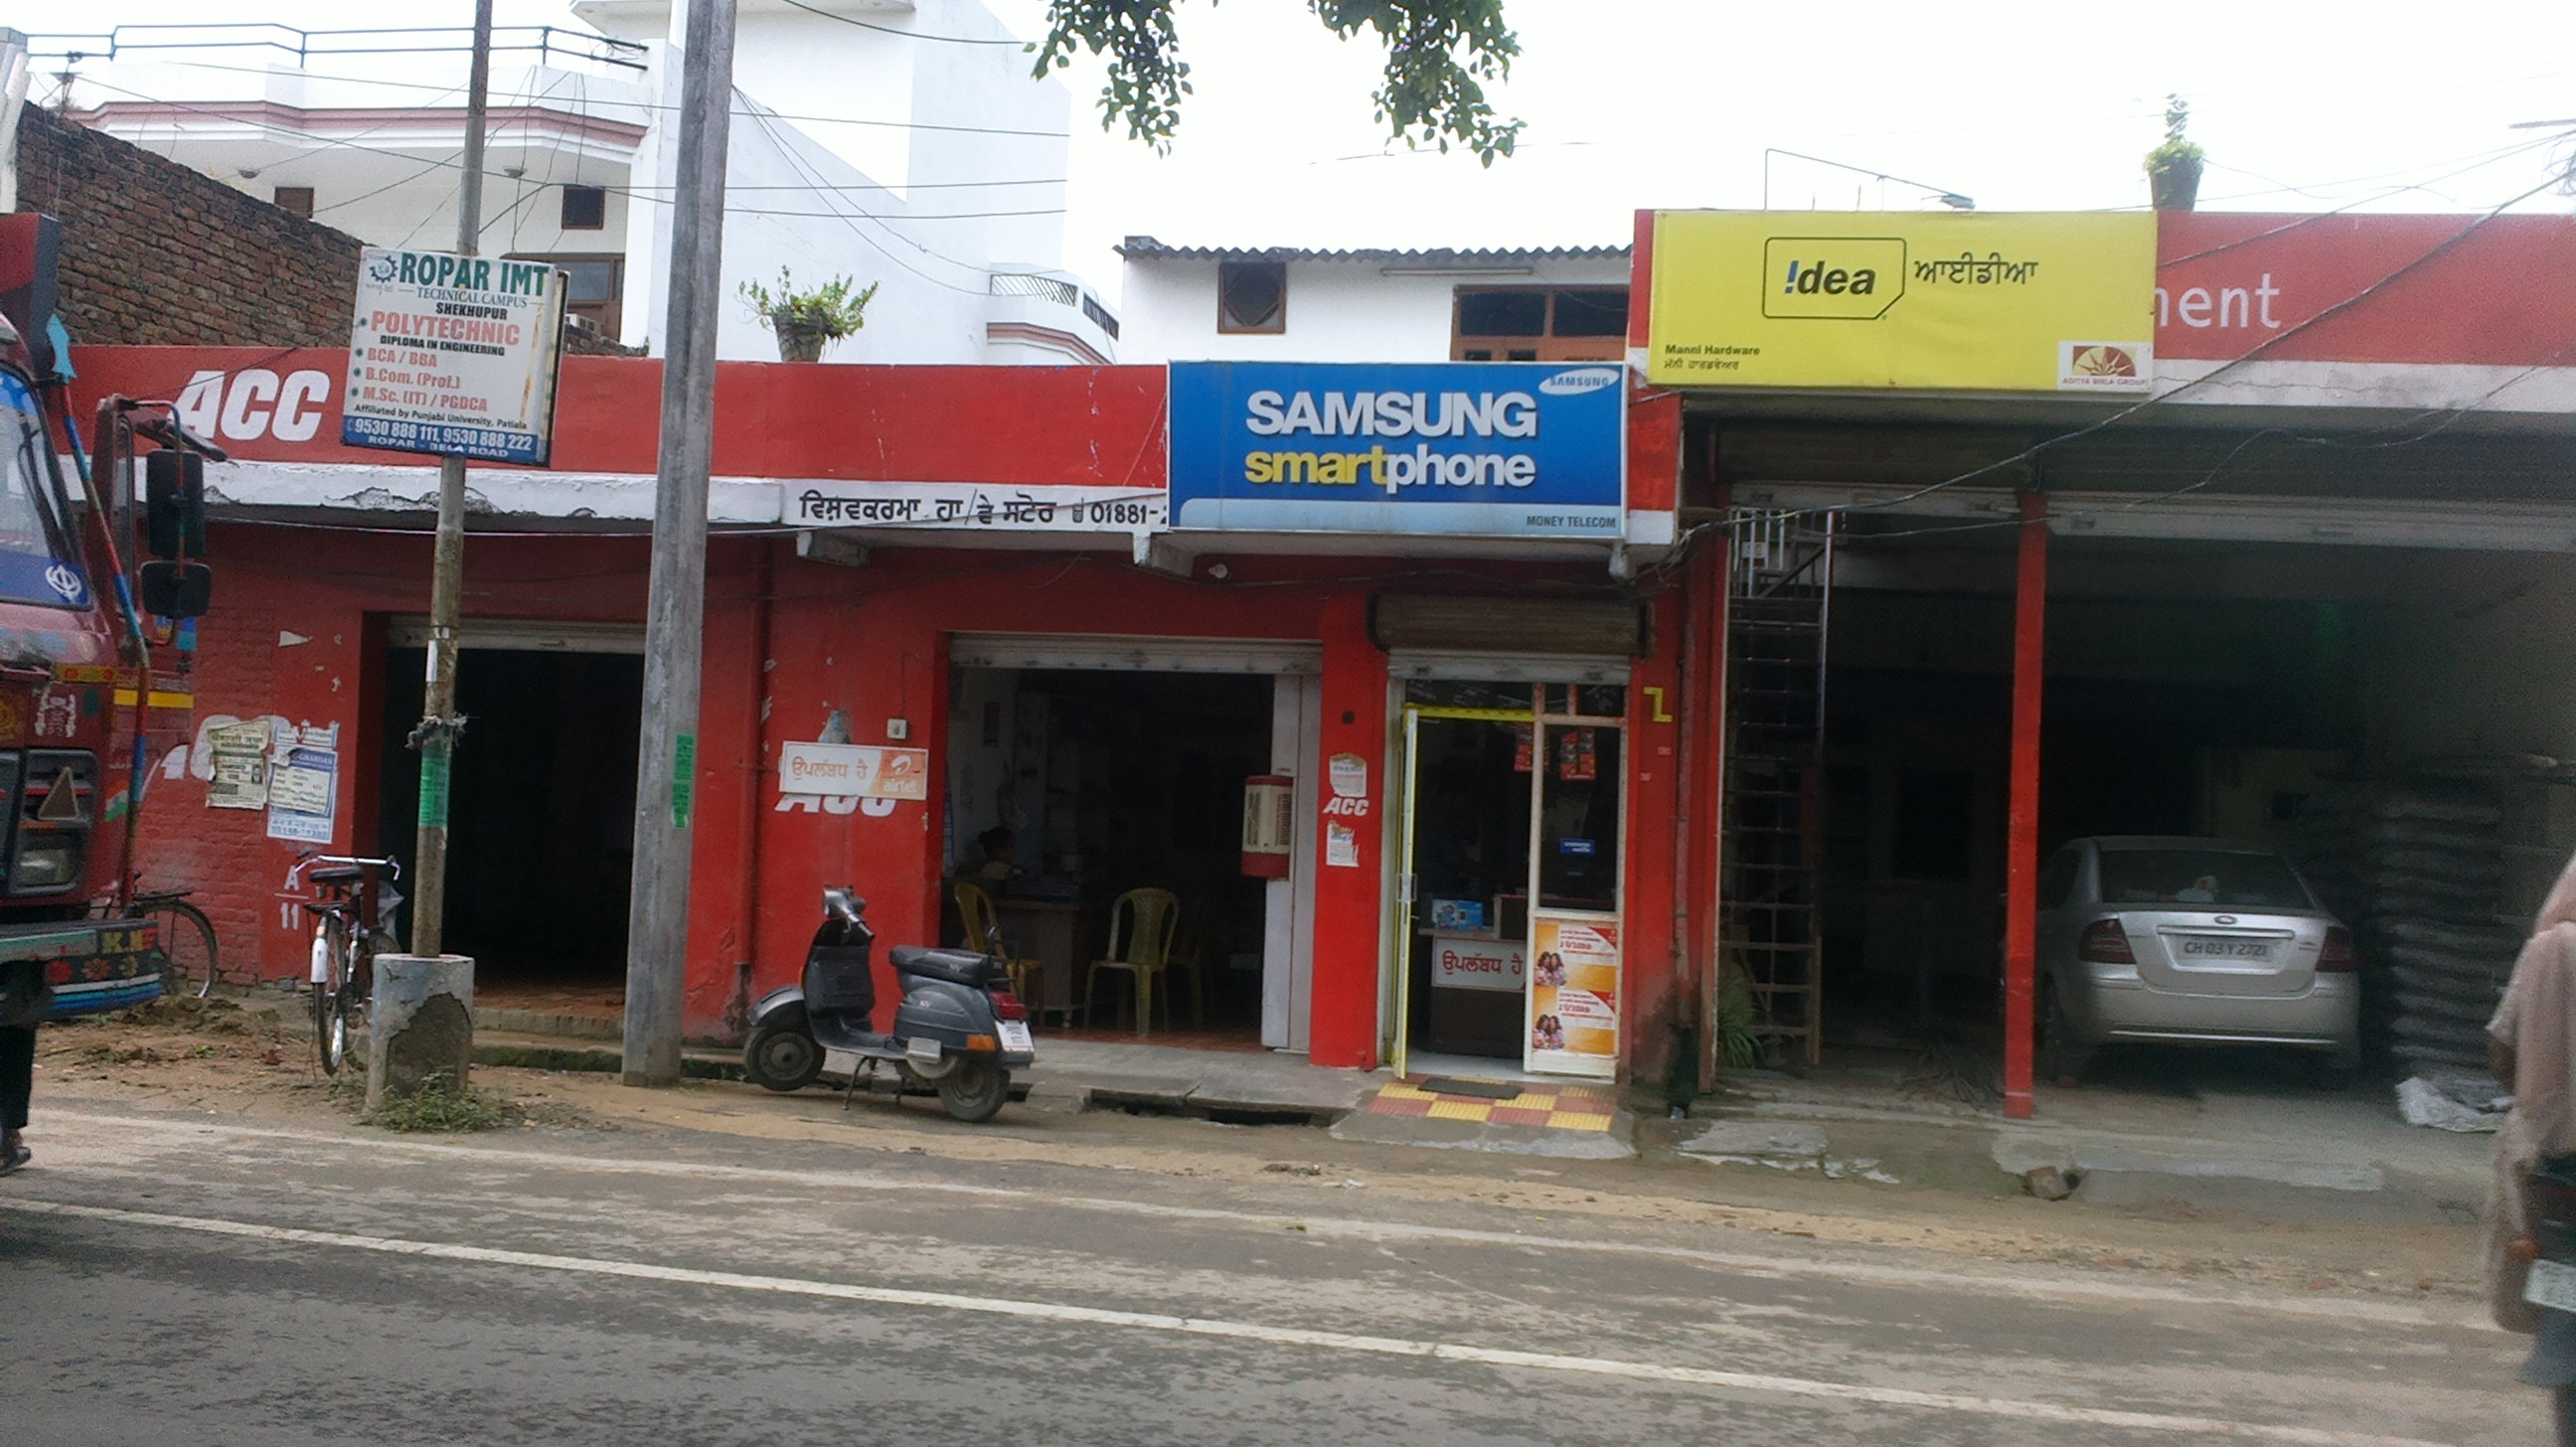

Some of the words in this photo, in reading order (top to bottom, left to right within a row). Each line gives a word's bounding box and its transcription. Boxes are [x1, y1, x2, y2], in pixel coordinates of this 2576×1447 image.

[398, 249, 495, 292] ROPAR
[415, 285, 481, 305] TECHNICAL
[434, 301, 511, 321] SHEKHUPUR
[480, 291, 532, 309] CAMPUS
[498, 261, 555, 299] IMT
[1778, 252, 1884, 300] !dea
[1910, 247, 2044, 290] ਆਈਡੀਆ
[2172, 266, 2289, 343] ent
[367, 308, 522, 347] POLYTECHNIC
[365, 345, 401, 367] BCA
[407, 349, 442, 371] BBA
[162, 359, 340, 454] ACC
[361, 384, 402, 405] M.Sc.
[363, 364, 416, 389] B.Com.
[363, 435, 418, 451] ROPAR
[353, 416, 440, 442] 9530888111,
[418, 372, 458, 389] Prof.)
[438, 391, 492, 414] PGDCA
[440, 426, 538, 452] 9530888222
[1236, 385, 1544, 445] SAMSUNG
[1234, 440, 1545, 499] smartphone
[793, 486, 922, 525] ਵਿਸ਼ਵਕਰਮਾ
[930, 494, 971, 527] ਹਾ
[972, 487, 999, 531] ਵੇ
[998, 486, 1065, 527] ਸਟੋਰ
[1086, 499, 1149, 527] 01881
[1523, 511, 1566, 531] MONEY
[1565, 511, 1618, 534] TELECOM
[787, 751, 851, 785] ਉਪਲੱਬਧ
[854, 751, 872, 784] ਹੈ
[1318, 792, 1373, 820] ACC
[1439, 946, 1507, 978] ਉਪਲੱਬਧ
[1507, 946, 1529, 977] ਹੈ